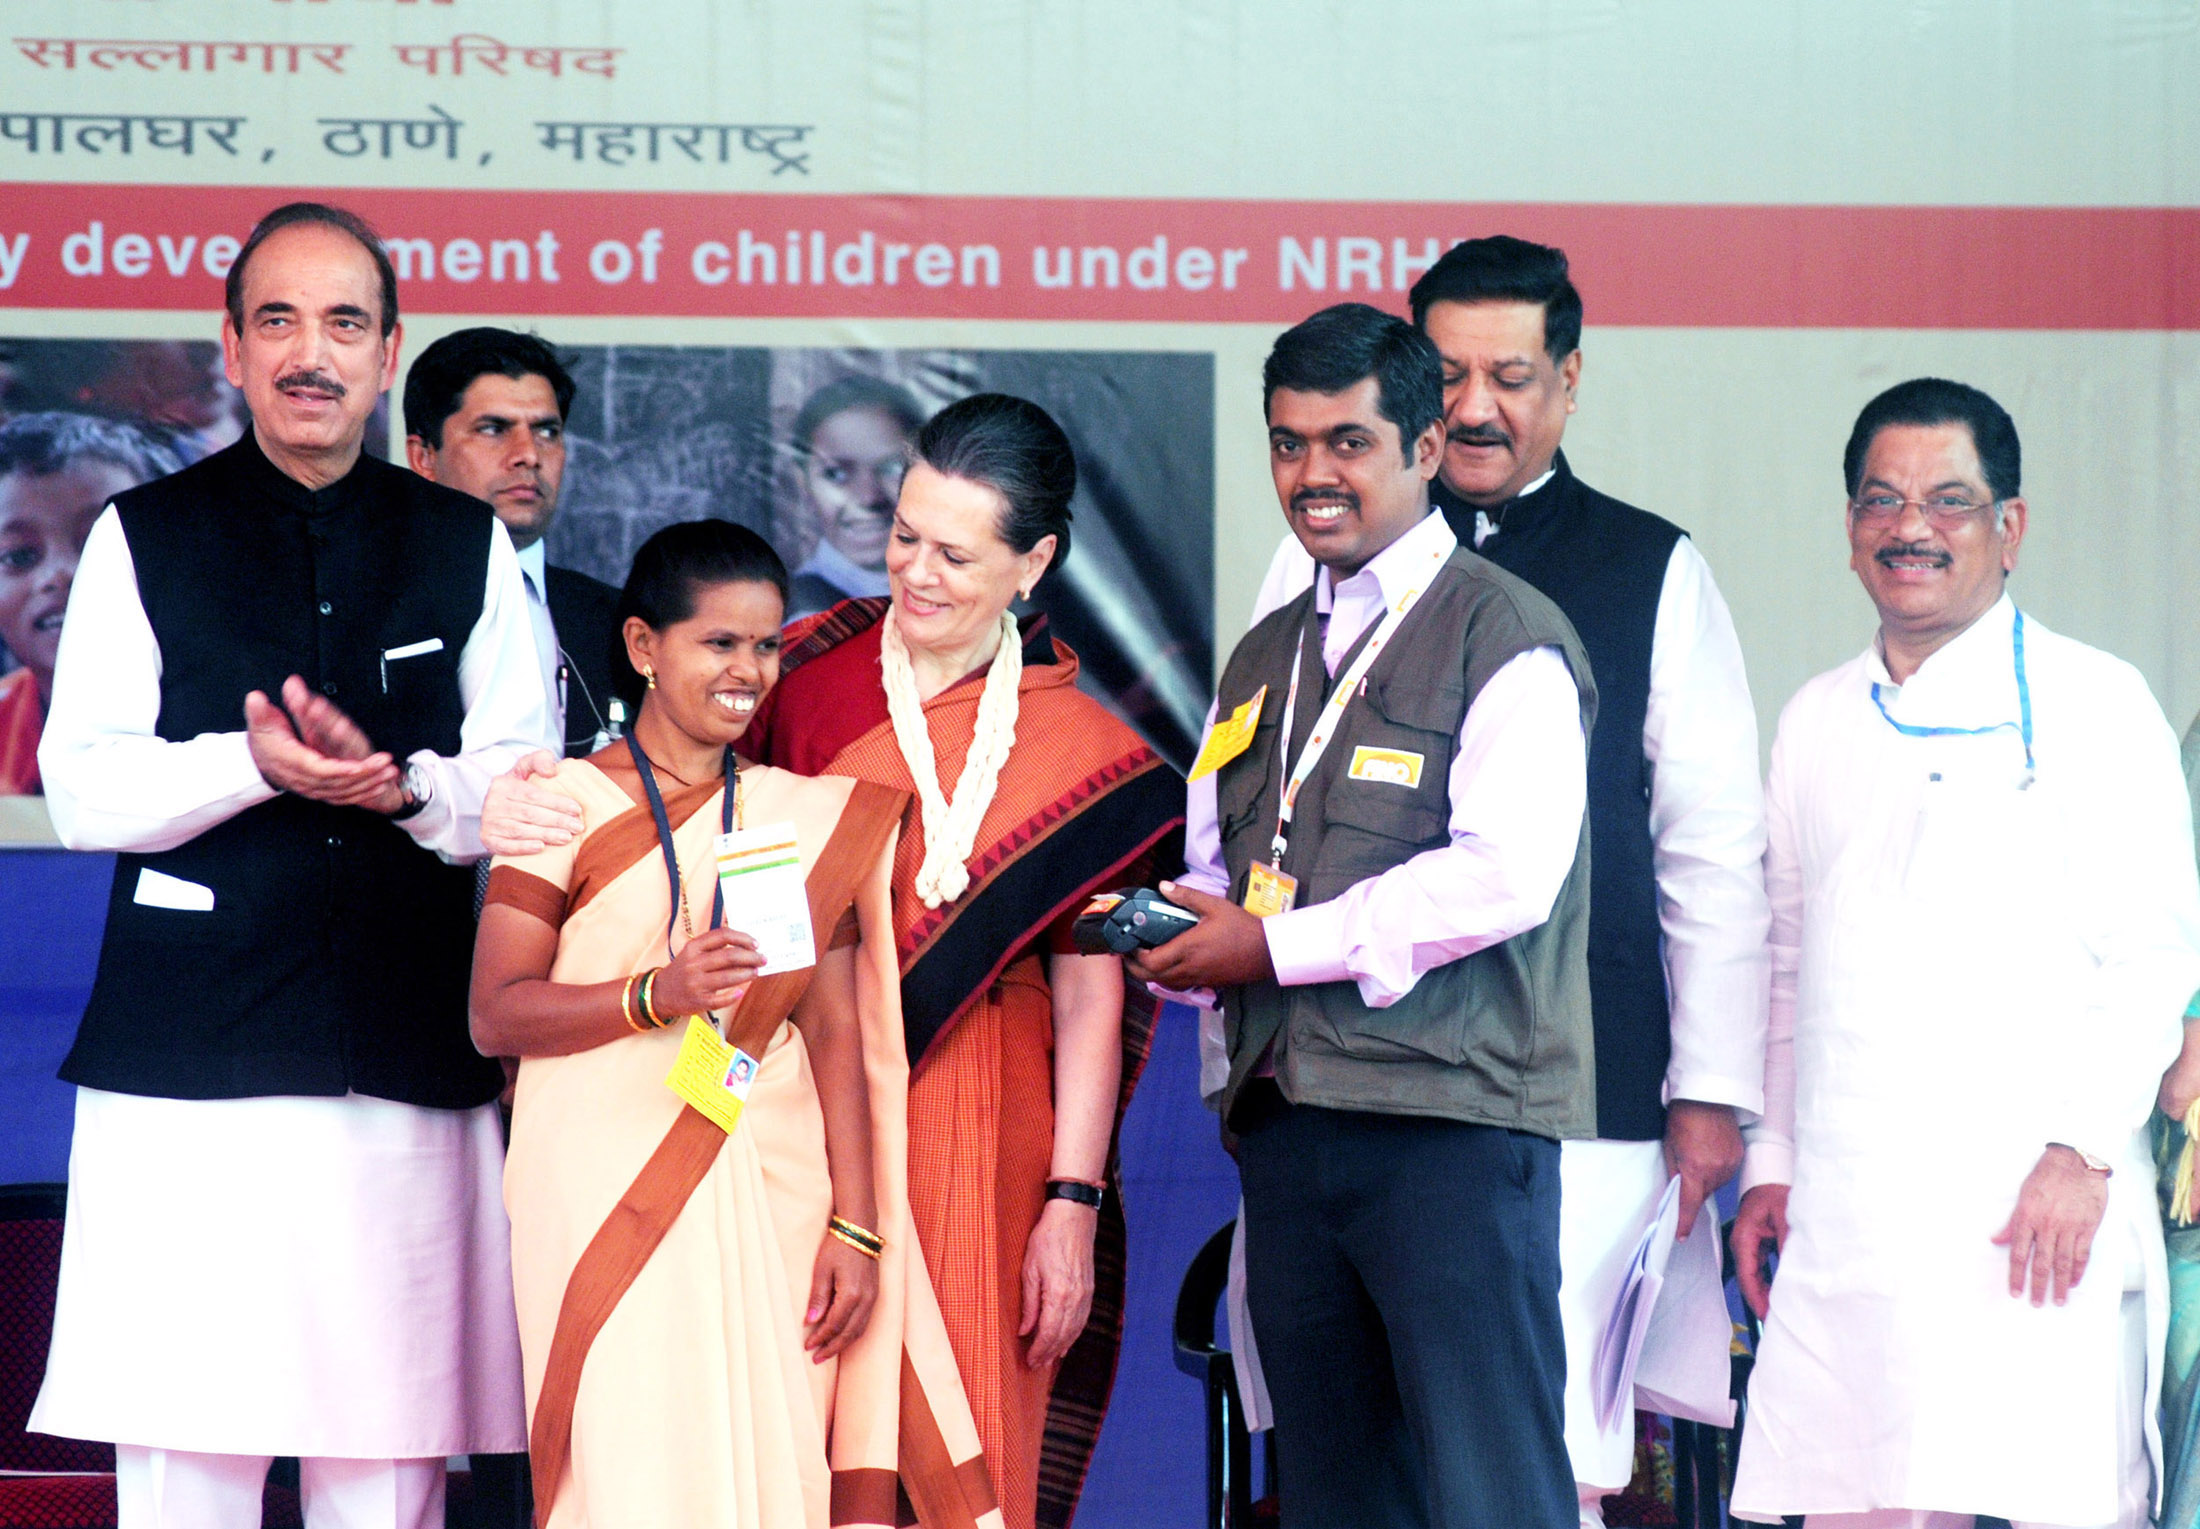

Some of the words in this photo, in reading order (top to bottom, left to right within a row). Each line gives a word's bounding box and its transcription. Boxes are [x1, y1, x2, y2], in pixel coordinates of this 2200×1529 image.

[15, 32, 359, 81] सल्लागार
[389, 25, 628, 84] परिषद
[0, 109, 251, 162] पालघर
[321, 95, 468, 168] ठाणे
[537, 117, 814, 181] महाराष्‍ट्र
[580, 218, 671, 301] of
[687, 221, 1005, 289] children
[1027, 226, 1250, 303] under
[1279, 229, 1447, 298] NRH